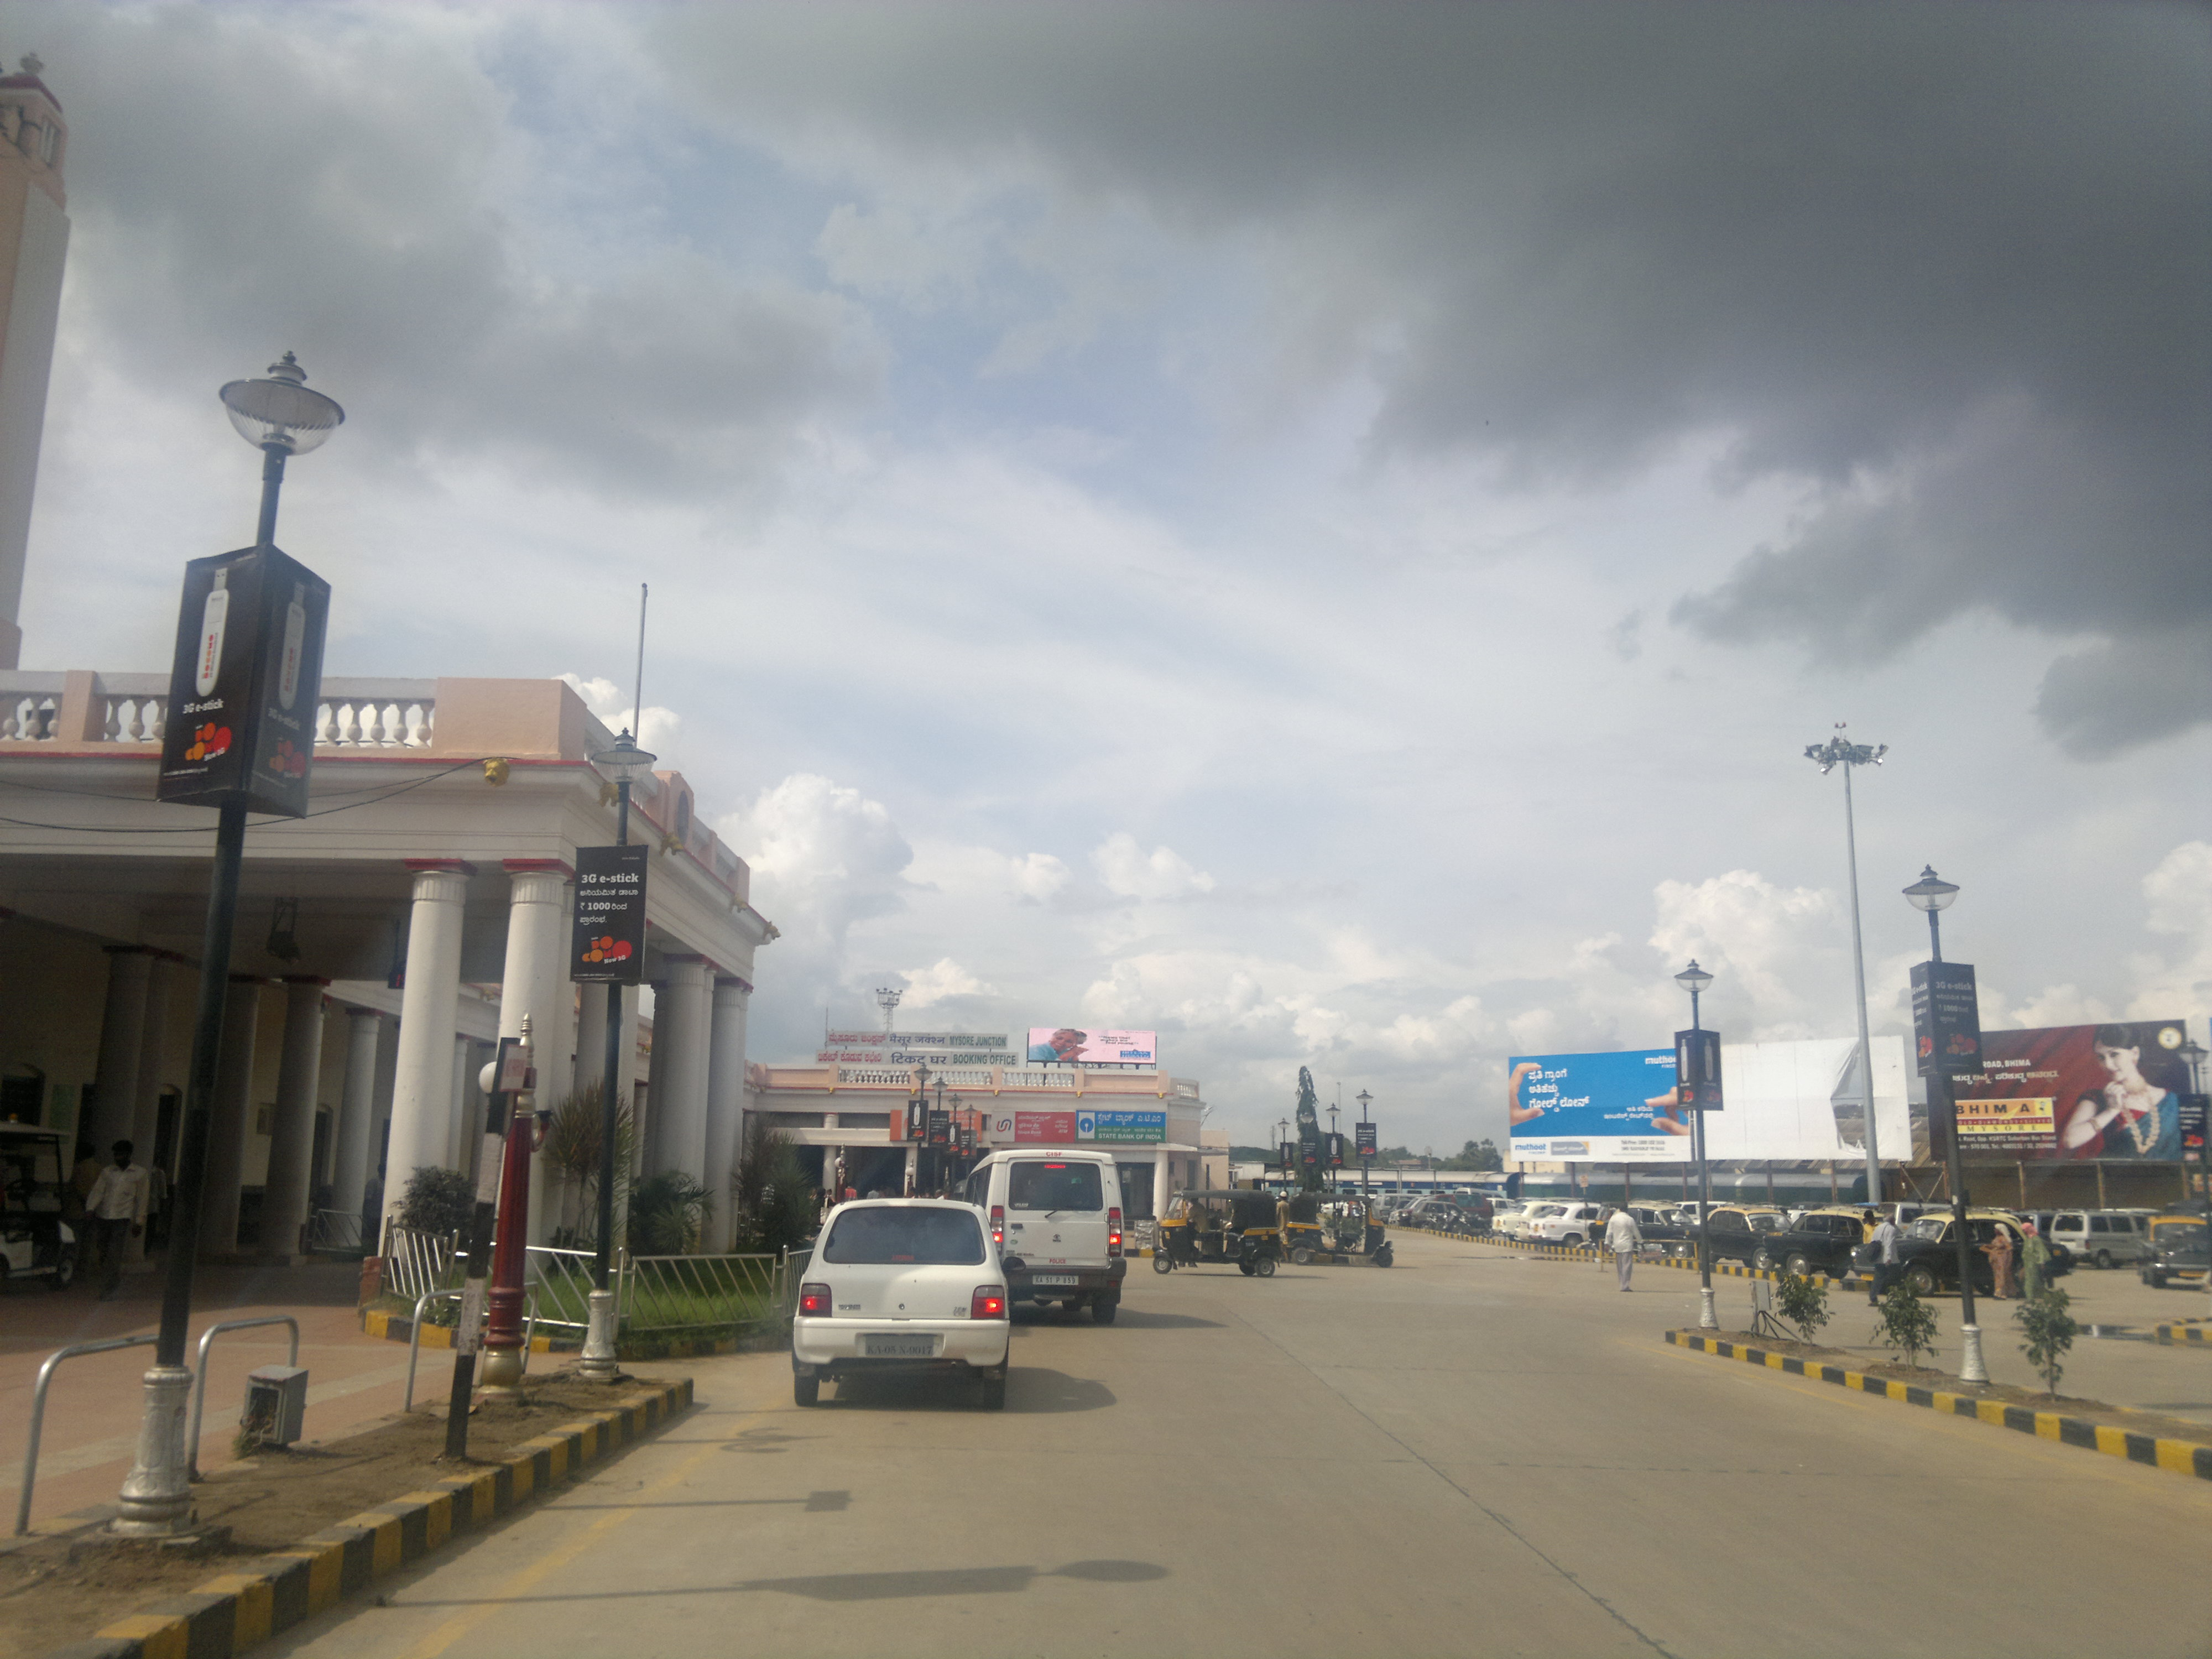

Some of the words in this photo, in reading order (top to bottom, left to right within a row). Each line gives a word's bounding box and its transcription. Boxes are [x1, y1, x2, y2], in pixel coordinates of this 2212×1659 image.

[579, 872, 599, 888] 3G
[598, 868, 640, 886] e-stick
[576, 886, 618, 899] ಅನಿಯಮಿತ
[615, 886, 641, 899] ಡಾಟಾ
[583, 900, 629, 913] 1000ರಿಂದ
[577, 912, 608, 927] ಪ್ರಾರಂಭ
[821, 1025, 860, 1047] ಮೈಸೂರು
[856, 1032, 890, 1047] ಟೆಂಕ್ಷನ್
[886, 1027, 914, 1048] मैसूर
[912, 1032, 947, 1049] जंक्शन
[945, 1034, 977, 1050] MYSORE
[973, 1032, 1008, 1050] JUNCTION
[813, 1046, 841, 1066] ಟಕೇಟ್
[836, 1048, 865, 1066] ಕೂಡುವ
[862, 1047, 885, 1065] ಕಭೇಲ
[885, 1047, 928, 1066] टिकट
[926, 1053, 950, 1066] घर
[950, 1052, 990, 1067] BOOKING
[986, 1052, 1019, 1069] OFFICE
[2001, 1057, 2033, 1071] BHIMA
[1525, 1065, 1570, 1084] ಪ್ರತಿಗ್ರಾಂಗೆ
[1991, 1068, 2028, 1084] ಪರಿಕುದ್ಧ
[1524, 1079, 1562, 1099] ಅತಿಹೆಚ್ಚು
[1094, 1110, 1113, 1126] ಸ್ಟೇಟ್
[1110, 1111, 1136, 1128] ಬ್ಯಾಲಕ
[1134, 1113, 1164, 1124] ಎ.ಟಿ.ಎಂ.
[1528, 1094, 1562, 1113] ಗೋಲ್ಡ್
[1553, 1093, 1590, 1112] ಲೋನ್
[1599, 1108, 1631, 1122] ಈಗಟಲೆನ್ಸ್
[1954, 1100, 2033, 1117] BHIMA
[1964, 1121, 2040, 1133] MYSORE
[1096, 1130, 1119, 1141] STATE
[1117, 1131, 1136, 1142] BANK
[1134, 1131, 1145, 1143] OF
[1141, 1131, 1164, 1144] INDIA
[1512, 1138, 1549, 1153] muthoot
[1046, 1255, 1069, 1269] POLICE